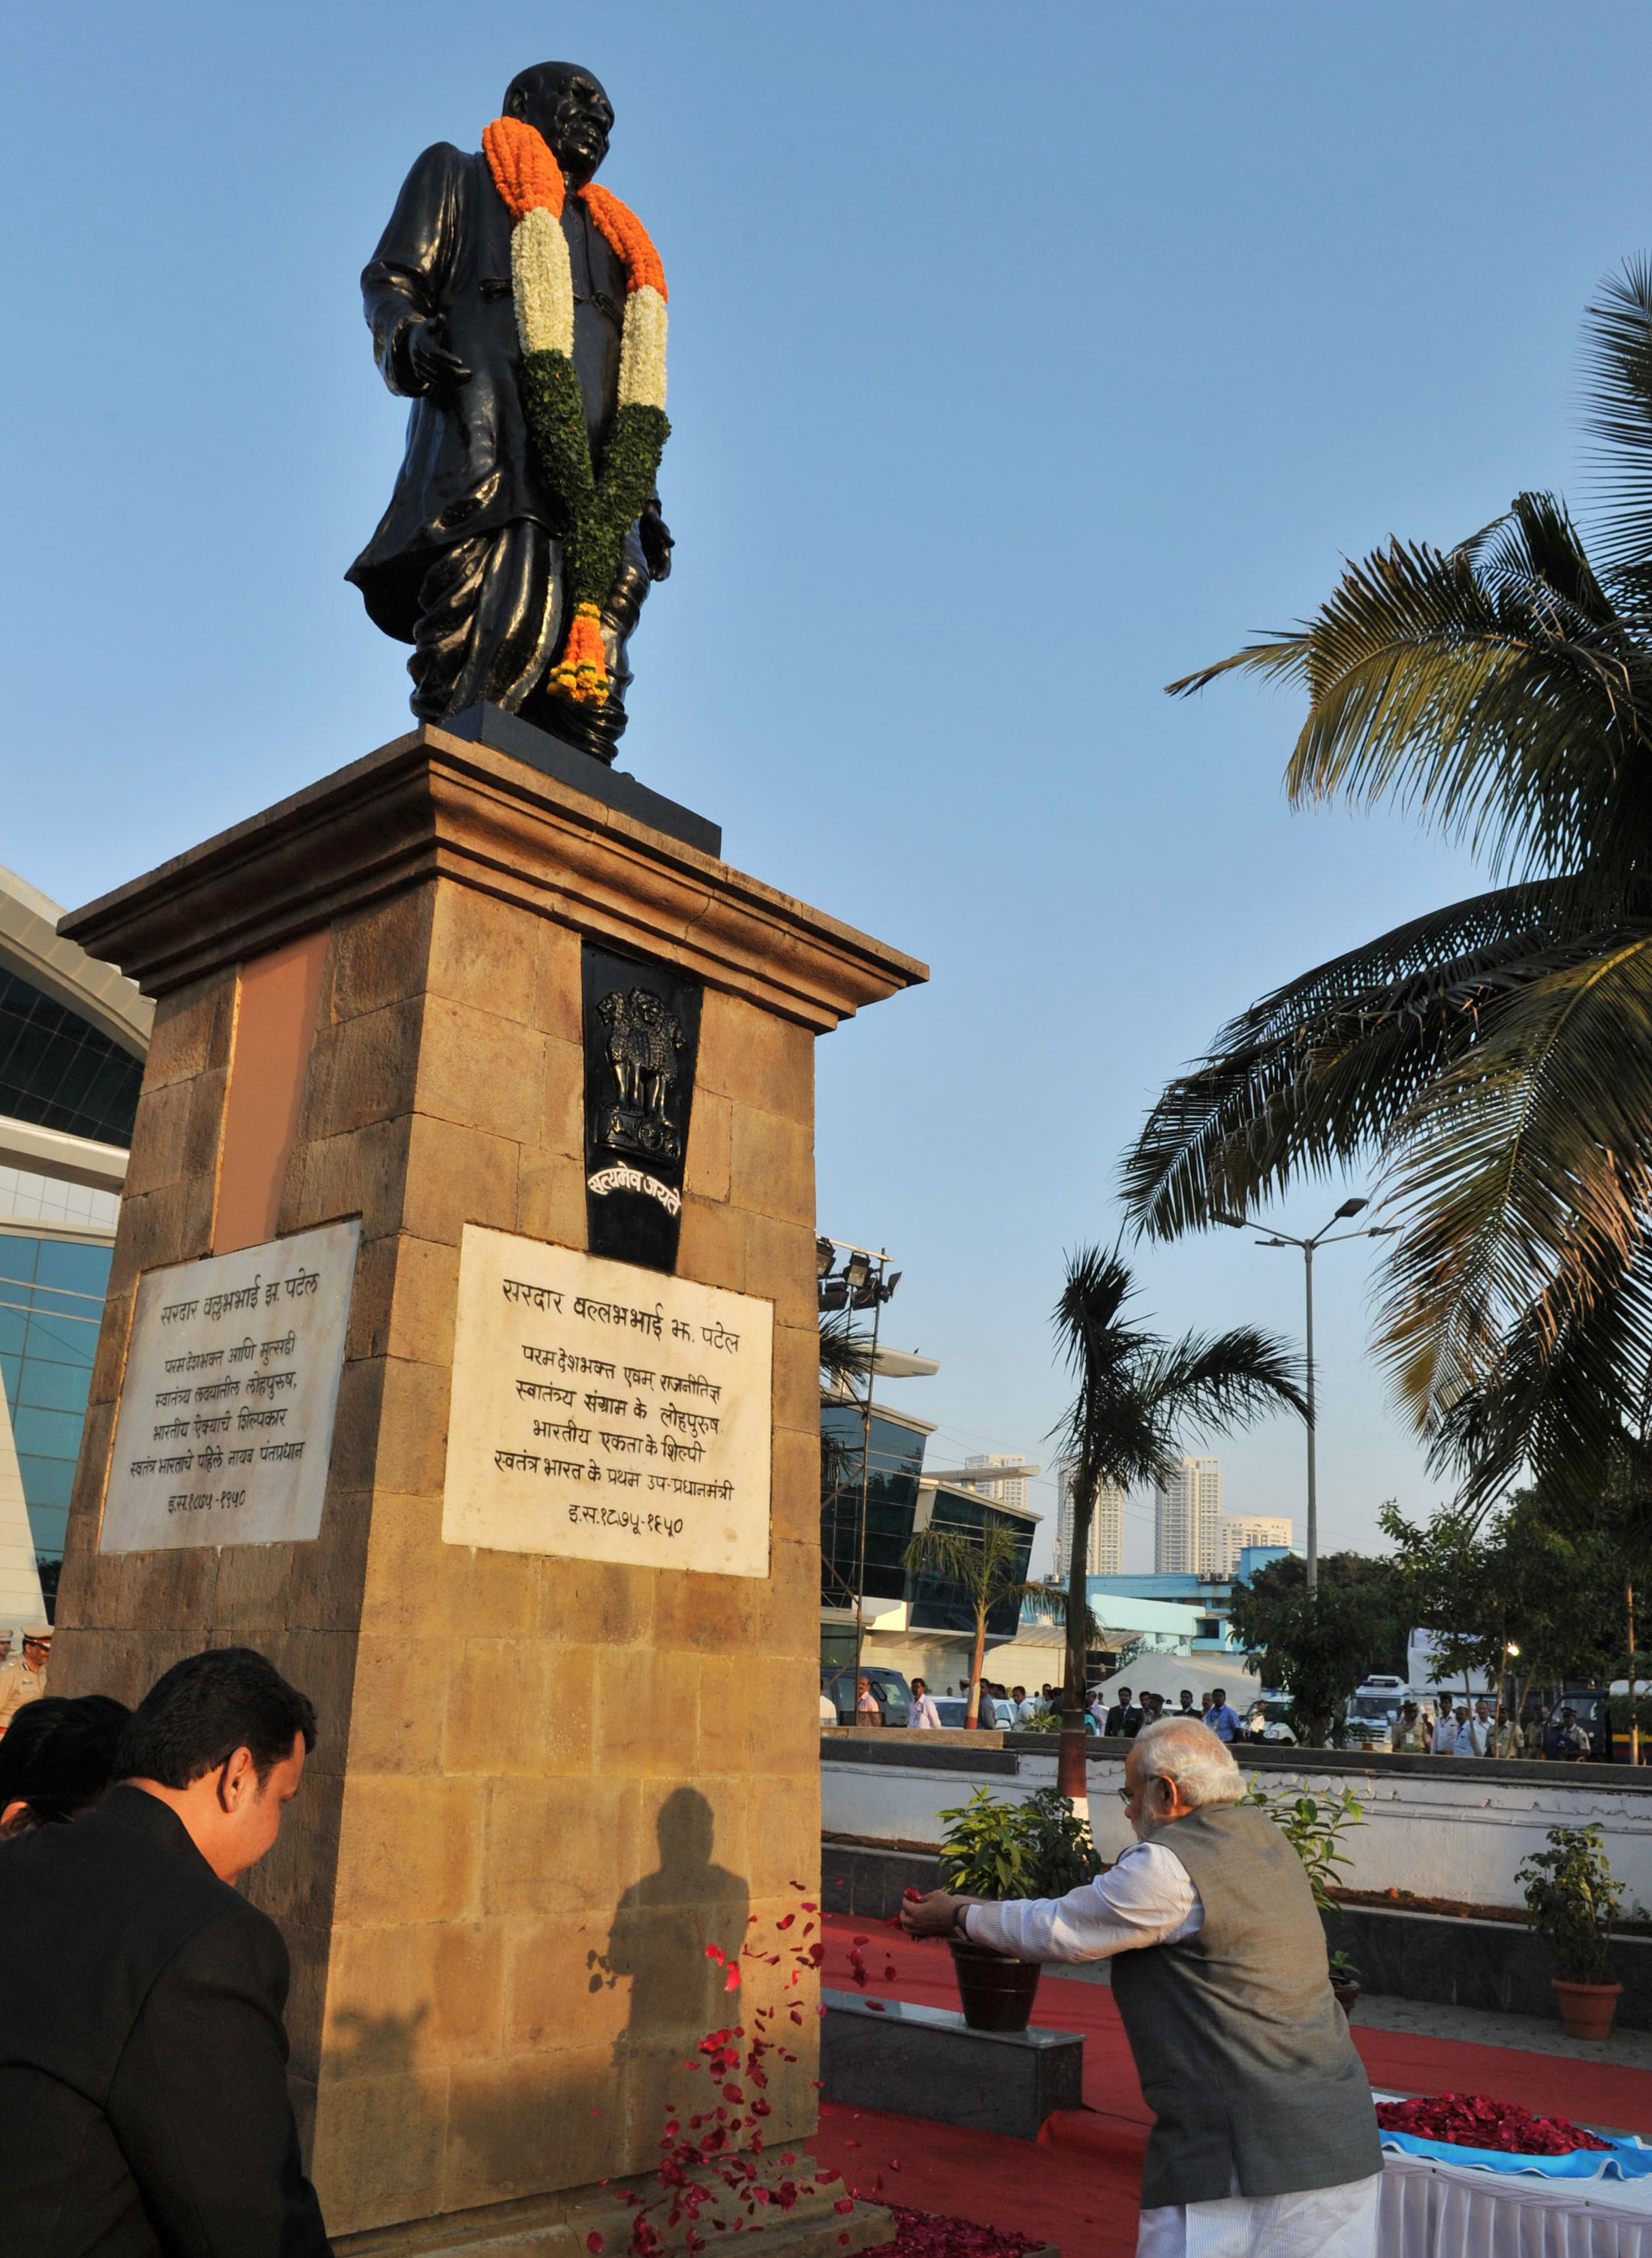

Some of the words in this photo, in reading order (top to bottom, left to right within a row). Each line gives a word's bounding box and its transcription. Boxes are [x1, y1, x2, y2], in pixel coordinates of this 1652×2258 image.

[154, 1292, 203, 1333] सरदार
[200, 1271, 266, 1327] वल्लभभाई
[261, 1275, 283, 1312] झ.
[282, 1262, 321, 1304] पटेल
[496, 1274, 571, 1319] सरदार
[570, 1293, 669, 1346] वल्लभभाई
[125, 1453, 158, 1482] स्वतंत्र
[148, 1414, 191, 1445] भारतीय
[148, 1382, 195, 1415] स्वातंत्र्य
[158, 1354, 186, 1376] परम
[161, 1494, 189, 1517] इस़.
[157, 1447, 196, 1478] भारताचे
[184, 1346, 228, 1375] देशभक्त
[196, 1441, 228, 1476] पहिले
[191, 1406, 234, 1441] ऐक्याचे
[191, 1373, 243, 1405] लदयातील
[187, 1486, 250, 1513] १८७५-१९५०
[226, 1445, 256, 1469] नायब
[225, 1333, 259, 1367] आणि
[235, 1403, 292, 1433] शिल्पकार
[243, 1368, 301, 1403] लोहपुरुष,
[257, 1327, 300, 1367] मुत्सही
[256, 1436, 309, 1464] पंतप्रधान
[489, 1446, 543, 1479] स्वतंत्र
[517, 1343, 558, 1372] परम
[508, 1374, 580, 1412] स्वातंत्र्य
[526, 1413, 594, 1449] भारतीय
[541, 1453, 586, 1485] भारत
[565, 1501, 601, 1530] इ.स.
[555, 1344, 618, 1384] देशभक्त
[585, 1454, 604, 1488] के
[580, 1387, 630, 1420] संग्राम
[595, 1426, 646, 1459] एकता
[604, 1464, 645, 1492] प्रथम
[619, 1361, 661, 1396] एवम्
[629, 1394, 654, 1424] के
[600, 1505, 686, 1543] १८७५-१६५०
[642, 1429, 660, 1461] के
[660, 1431, 712, 1468] शिल्पी
[655, 1397, 725, 1441] लोहपुरुष
[656, 1370, 726, 1408] राजनीतिज्ञ
[645, 1471, 741, 1507] उप-प्रधानमंत्री
[699, 1318, 744, 1358] पटेल